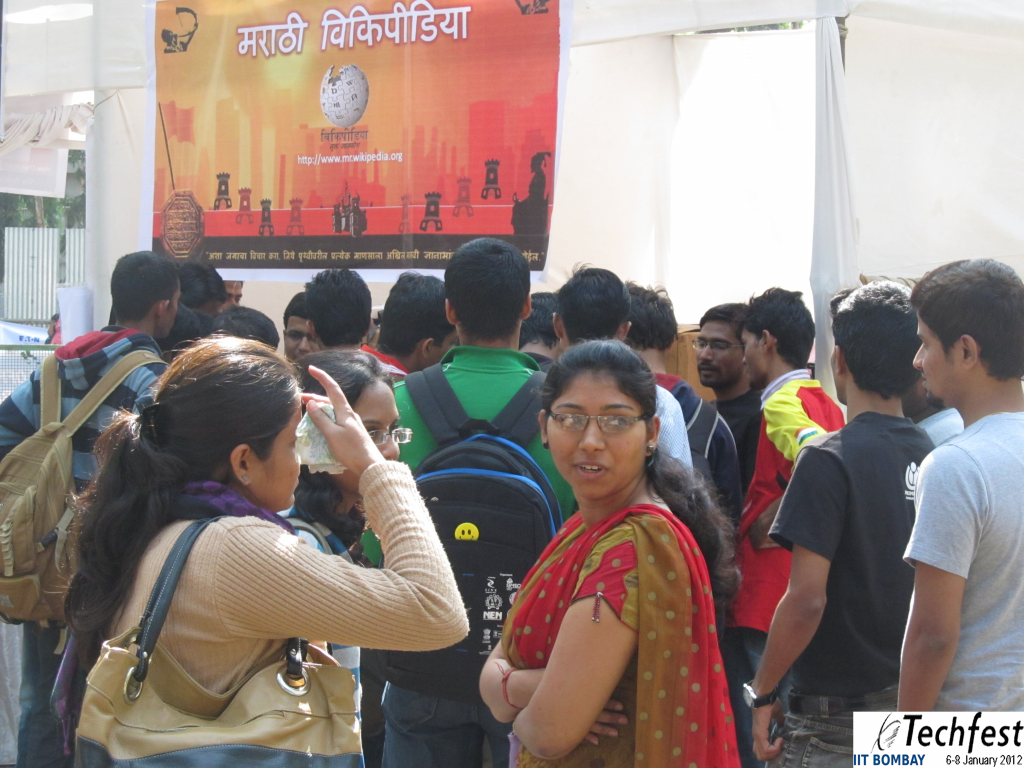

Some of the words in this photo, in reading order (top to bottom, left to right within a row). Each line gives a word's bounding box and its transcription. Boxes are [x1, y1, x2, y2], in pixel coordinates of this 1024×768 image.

[229, 9, 308, 64] मराठी
[315, 0, 472, 54] विकिपीडिया
[313, 116, 373, 145] बिकीपीडिया
[292, 146, 409, 172] http://www.mr.wikipedia.org
[201, 247, 227, 265] अशा
[219, 244, 251, 265] जमाचा
[243, 241, 271, 265] विचार
[261, 247, 283, 265] करा
[274, 238, 299, 265] जिये
[290, 239, 333, 267] पृथ्वीवरील
[324, 241, 356, 265] प्रत्येक
[349, 243, 385, 265] माणसाला
[377, 242, 425, 267] अखिल मानवी
[897, 706, 1024, 756] Techfest
[846, 750, 874, 767] IIT
[871, 747, 929, 767] BOMBAY
[941, 747, 1003, 767] 6-8January2
[998, 750, 1024, 766] 2012